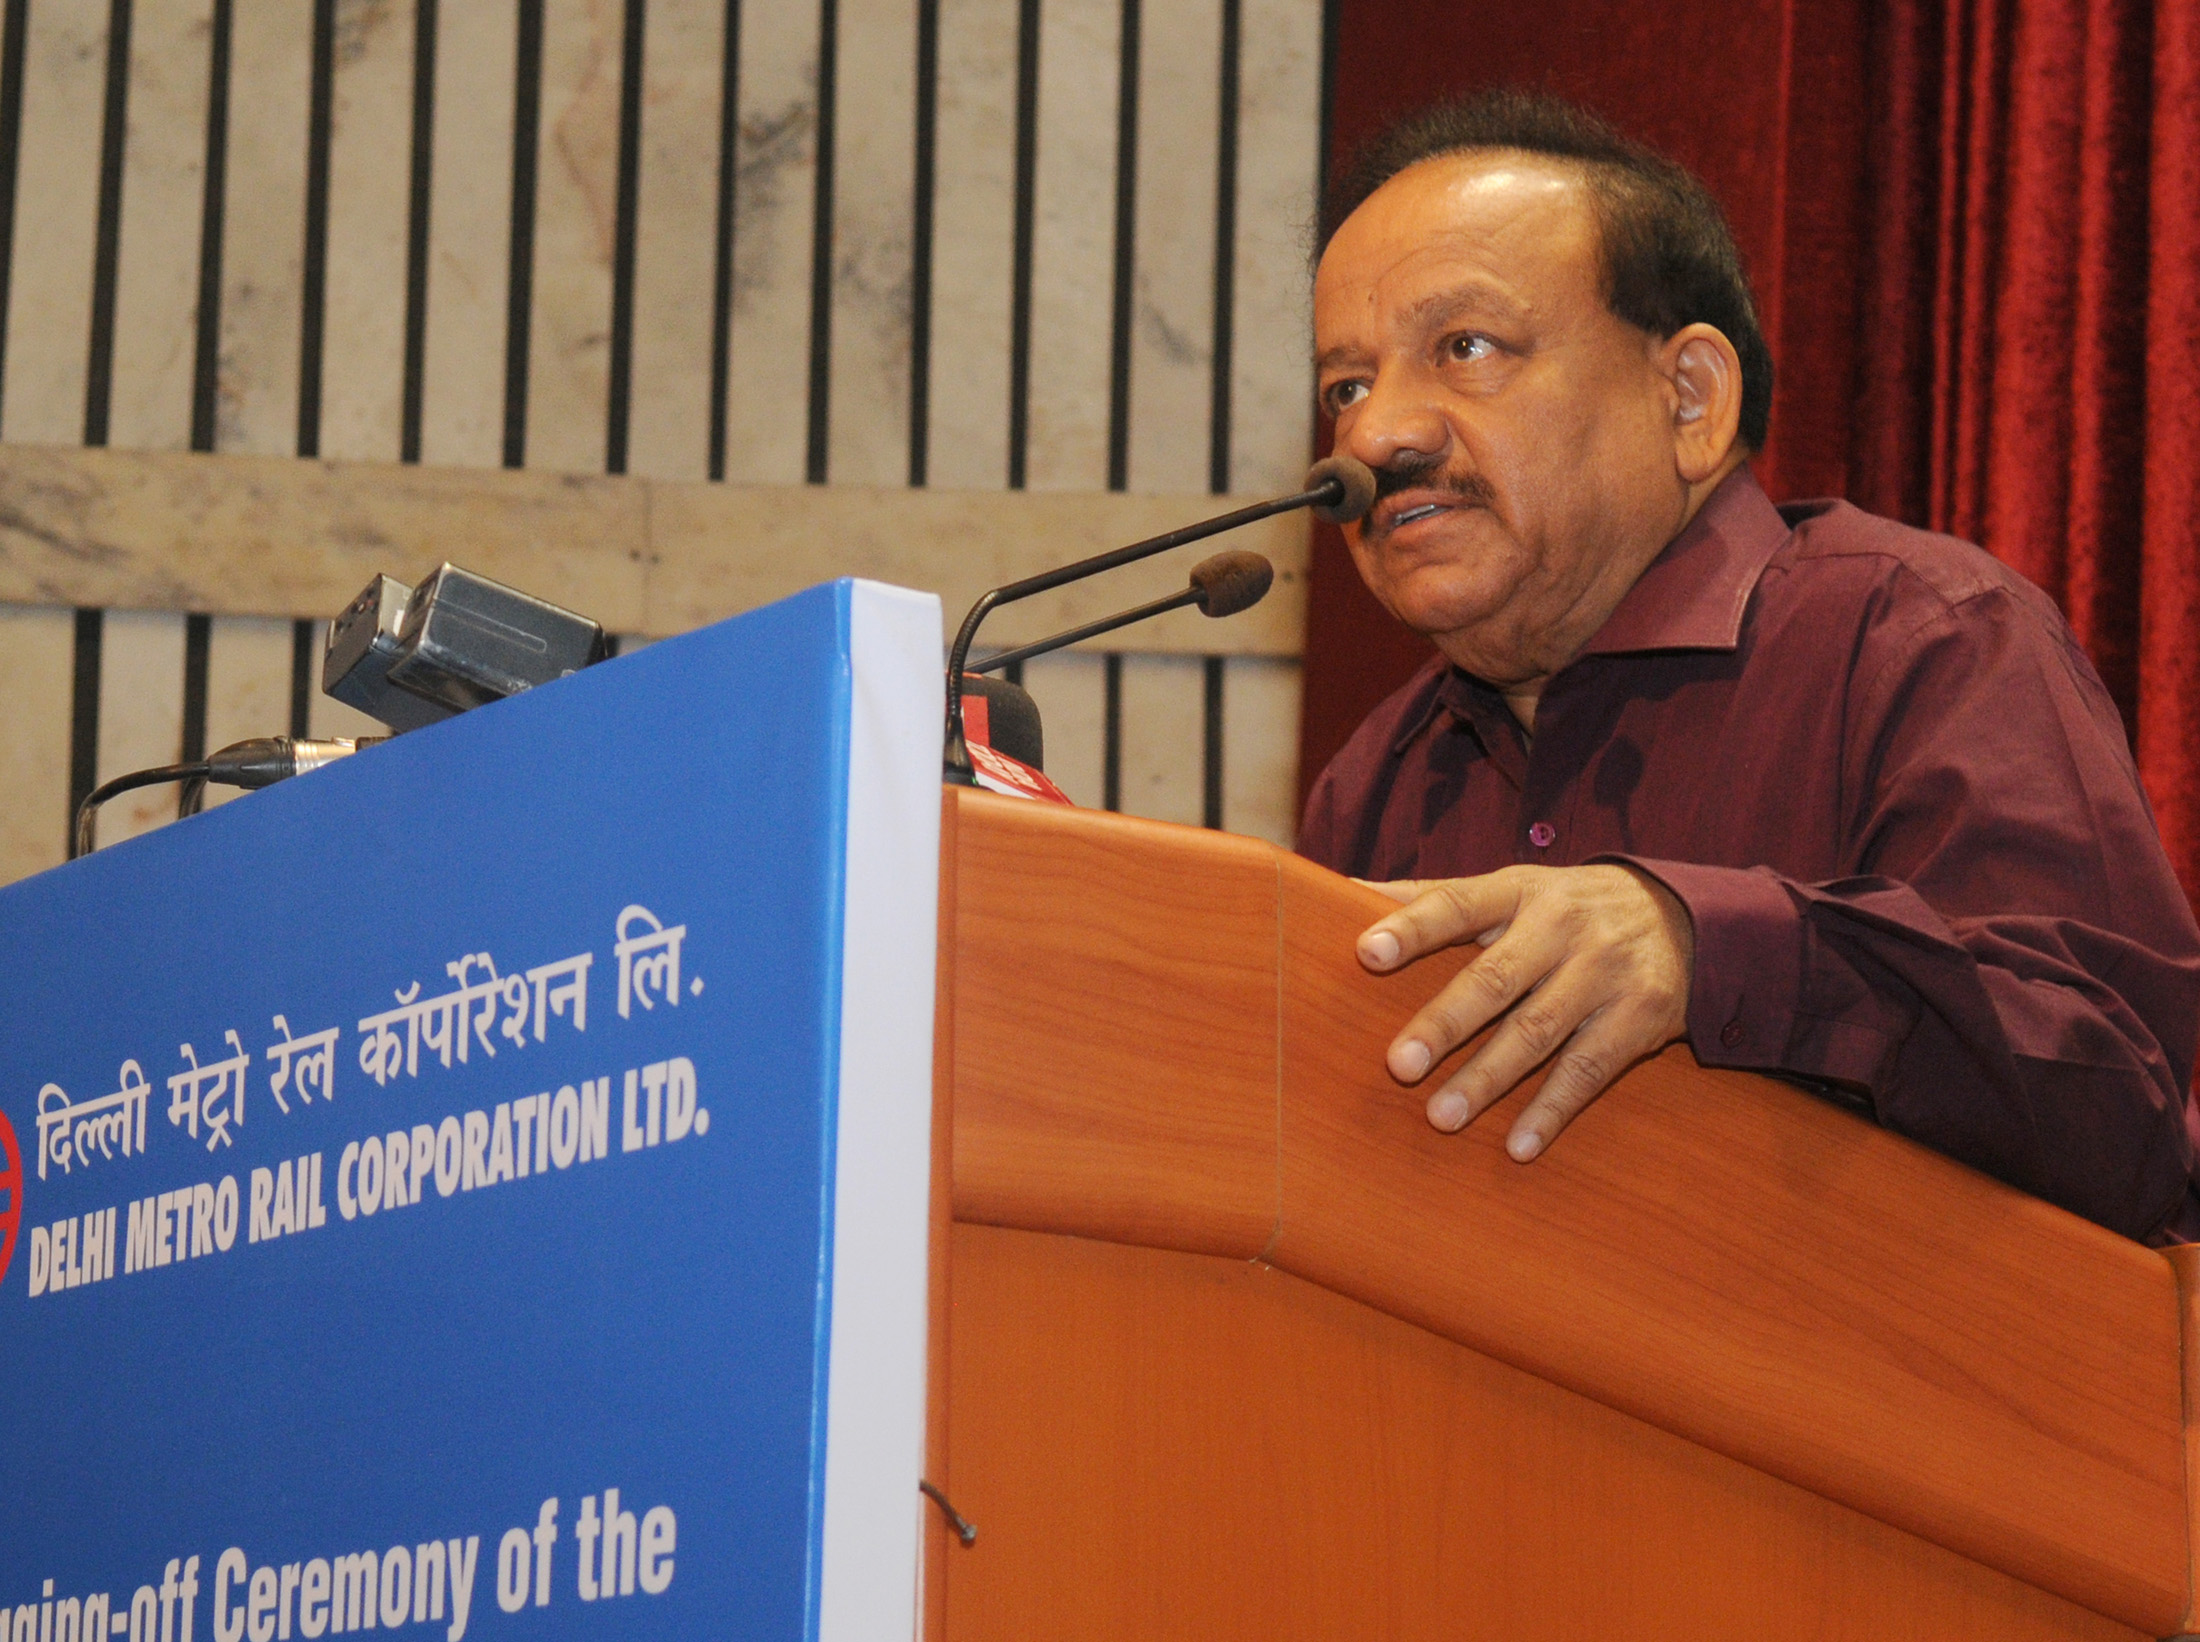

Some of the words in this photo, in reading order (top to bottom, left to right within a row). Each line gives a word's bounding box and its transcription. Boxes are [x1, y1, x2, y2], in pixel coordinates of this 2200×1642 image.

[20, 1201, 119, 1301] DELHI
[18, 1055, 160, 1187] दिल्ली
[120, 1168, 242, 1279] METRO
[156, 1022, 252, 1154] मेट्रो
[242, 1145, 334, 1248] RAIL
[251, 1003, 345, 1118] रेल
[326, 1071, 613, 1228] CORPORATION
[346, 943, 596, 1093] कॉर्पोरेशन
[603, 890, 714, 1027] लि.
[615, 1051, 712, 1162] LTD.
[206, 1527, 488, 1638] Ceremony
[488, 1497, 570, 1622] of
[563, 1477, 688, 1609] the